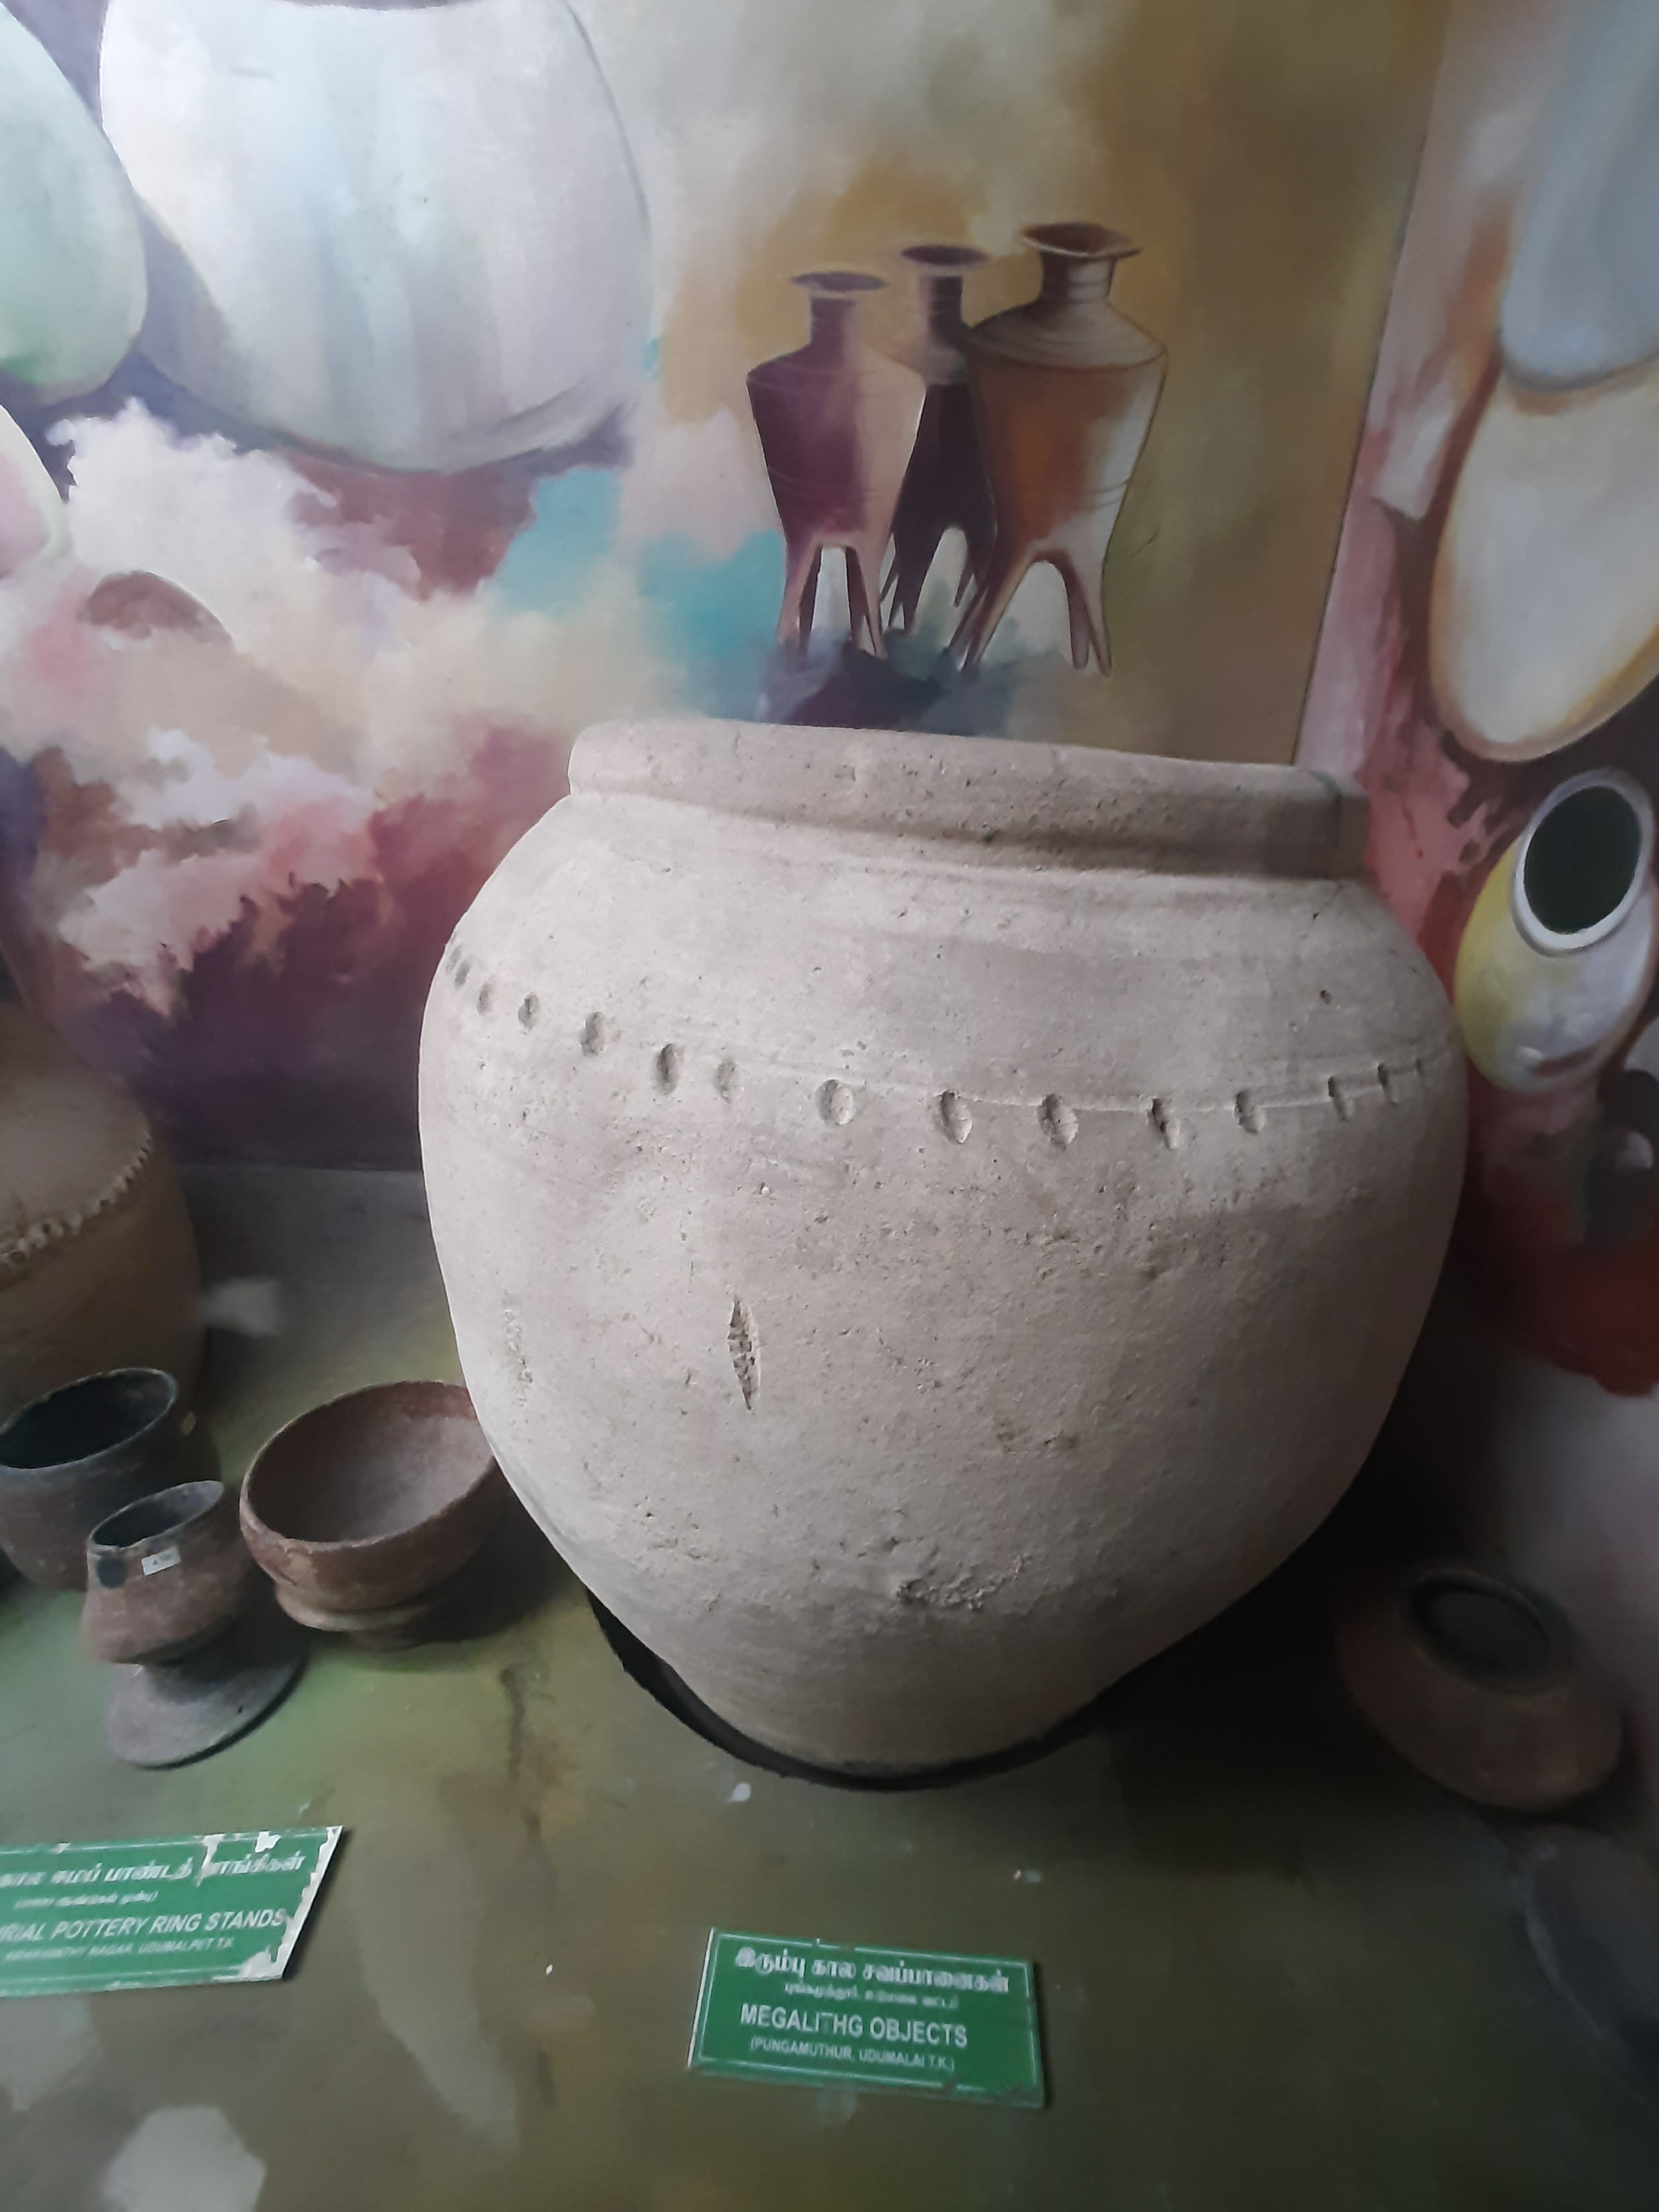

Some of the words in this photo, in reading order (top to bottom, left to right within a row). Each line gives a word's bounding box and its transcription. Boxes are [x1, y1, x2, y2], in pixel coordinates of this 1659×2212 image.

[42, 1856, 111, 1888] சுமப்
[99, 1850, 198, 1885] பாண்டத்
[43, 1911, 150, 1941] POTTERY
[142, 1903, 206, 1940] RING
[199, 1904, 293, 1930] STANDS
[724, 1937, 812, 1984] இ௫ம்பு
[802, 1952, 859, 1982] கால
[854, 1953, 1017, 1998] சவப்பானைகள்
[729, 1996, 869, 2043] MEGALITHG
[744, 2028, 857, 2064] (PUNGAMUTHUR,
[854, 2039, 962, 2078] UDUMALAITK)
[865, 2013, 972, 2051] OBJECTS